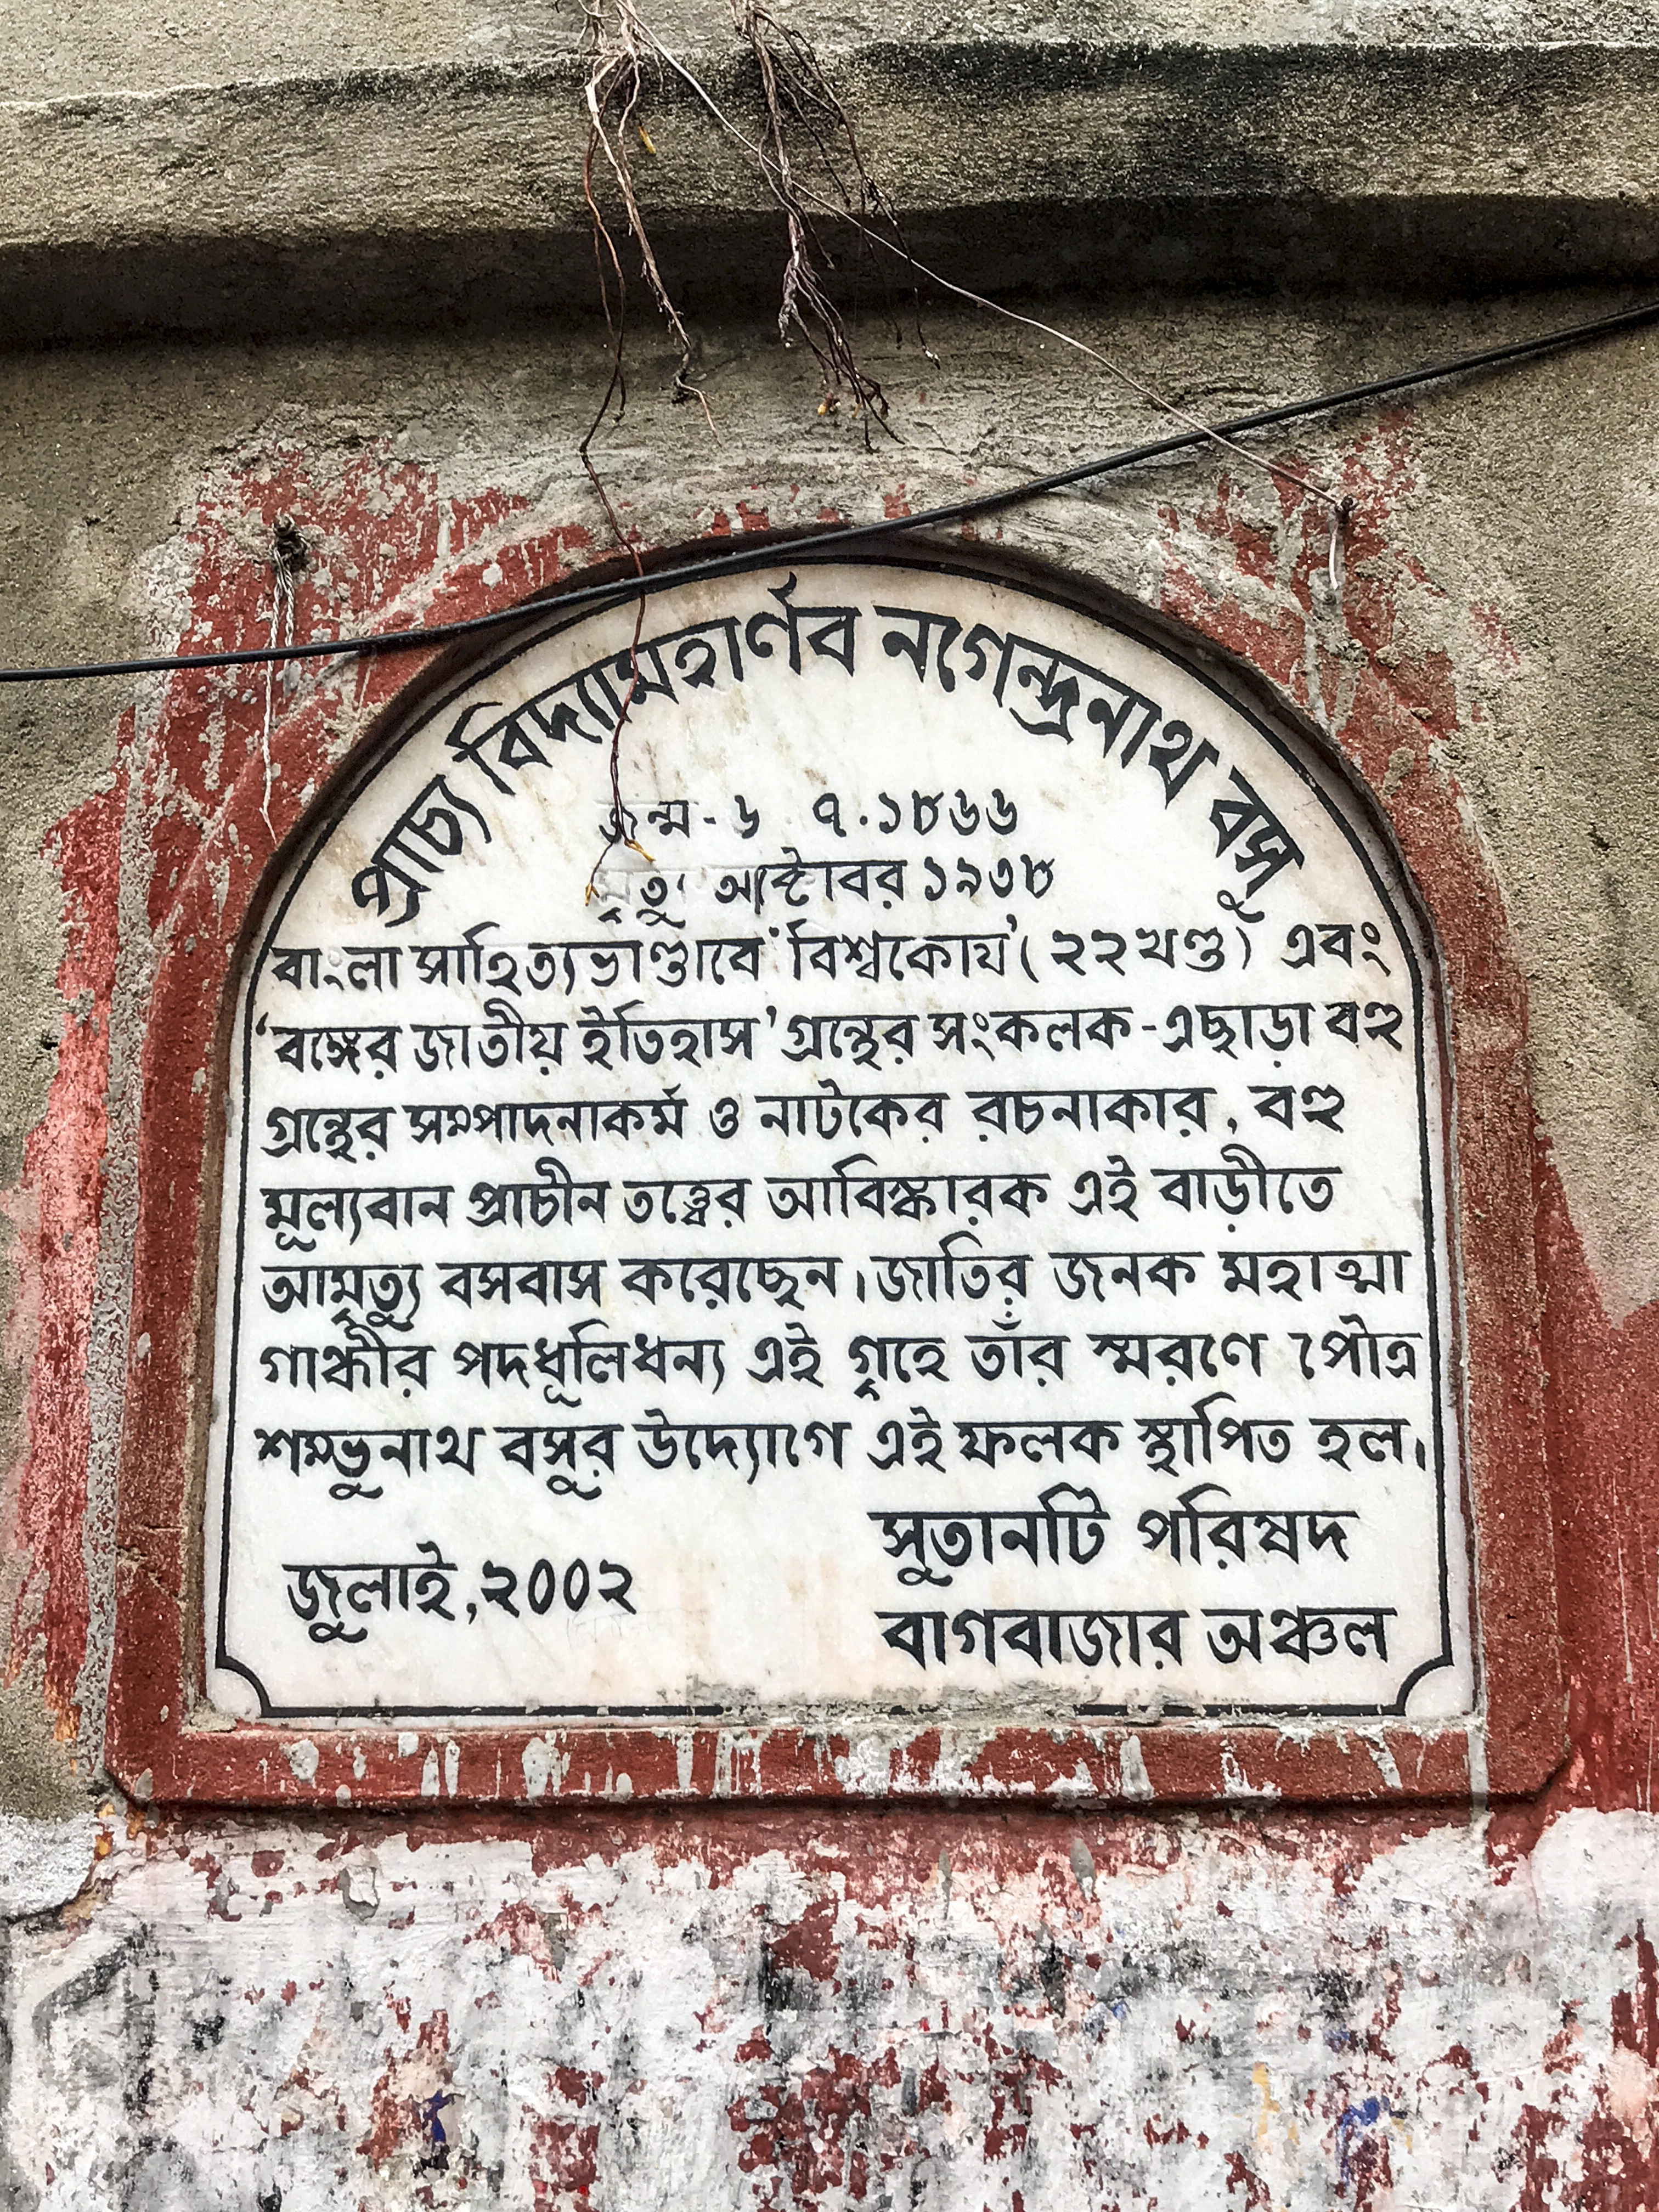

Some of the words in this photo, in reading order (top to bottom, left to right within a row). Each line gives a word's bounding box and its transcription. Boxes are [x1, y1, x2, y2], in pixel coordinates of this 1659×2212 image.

[443, 564, 872, 805] বিদ্যামহার্ণব
[865, 592, 1227, 814] নগেন্দ্রনাথ
[339, 759, 497, 940] প্রাচ্য
[592, 779, 703, 853] জন্ম
[708, 840, 917, 918] আক্টাবর
[721, 782, 1030, 850] ৬.৭.১৮৬৬
[915, 848, 1059, 907] ১৯৩৮
[1193, 751, 1318, 910] বস
[263, 935, 406, 1007] বাংলা
[408, 909, 653, 1005] সাহিত্যভা
[641, 925, 769, 1002] ণ্ডাবে
[771, 903, 1016, 991] বিশ্বকোয
[1037, 919, 1240, 1000] ২২খণ্ড
[1278, 911, 1397, 981] এবং
[266, 1016, 405, 1088] বঙ্গের
[413, 986, 574, 1088] জাতীয়
[566, 989, 768, 1083] ইতিহাস
[778, 1007, 927, 1079] গ্রন্থের
[926, 997, 1147, 1074] সংকলক
[1160, 988, 1412, 1076] এছাড়া৷বহু
[259, 1097, 402, 1171] গ্রন্থের
[399, 1072, 690, 1152] সম্পাদনাকর্ম
[698, 1094, 746, 1151] ও
[753, 1069, 956, 1150] নাটকের
[963, 1079, 1221, 1145] রচনাকার
[1243, 1072, 1358, 1147] বহু
[259, 1178, 458, 1267] মূল্যবান
[463, 1149, 620, 1235] প্রাচীন
[619, 1163, 766, 1237] তত্ত্বের
[761, 1140, 1058, 1232] আবিষ্কারক
[1065, 1143, 1141, 1224] এই
[1152, 1137, 1353, 1233] ঝড়ীতে
[245, 1249, 436, 1338] আমৃত্যু
[436, 1256, 610, 1318] বসবাস
[613, 1249, 844, 1319] করেছেন
[867, 1222, 1051, 1313] জাতির
[1045, 1242, 1209, 1311] জনক
[1214, 1240, 1419, 1308] মহাত্মা
[260, 1317, 438, 1401] গান্ধীর
[443, 1302, 731, 1415] পদধূলিধন্য
[753, 1310, 838, 1403] এই
[839, 1318, 955, 1413] গৃহে
[958, 1307, 1076, 1396] তাঁর
[1086, 1325, 1272, 1399] স্মরণে
[1282, 1295, 1430, 1383] পৌত্র
[247, 1420, 490, 1512] শম্ভুনাথ৷
[487, 1409, 624, 1500] বঙ্গুর
[616, 1401, 856, 1491] উদ্যোগে
[864, 1407, 951, 1481] এই
[948, 1412, 1139, 1476] ফলক
[1131, 1386, 1305, 1486] স্থাপিত
[1304, 1412, 1414, 1476] হল
[860, 1472, 1116, 1598] সুতানটি
[1133, 1460, 1366, 1575] পরিষদ
[272, 1533, 465, 1654] জুলাই
[477, 1551, 637, 1622] ২০০২
[861, 1600, 1190, 1677] বাগবাজার
[1180, 1599, 1392, 1672] অঞ্চল